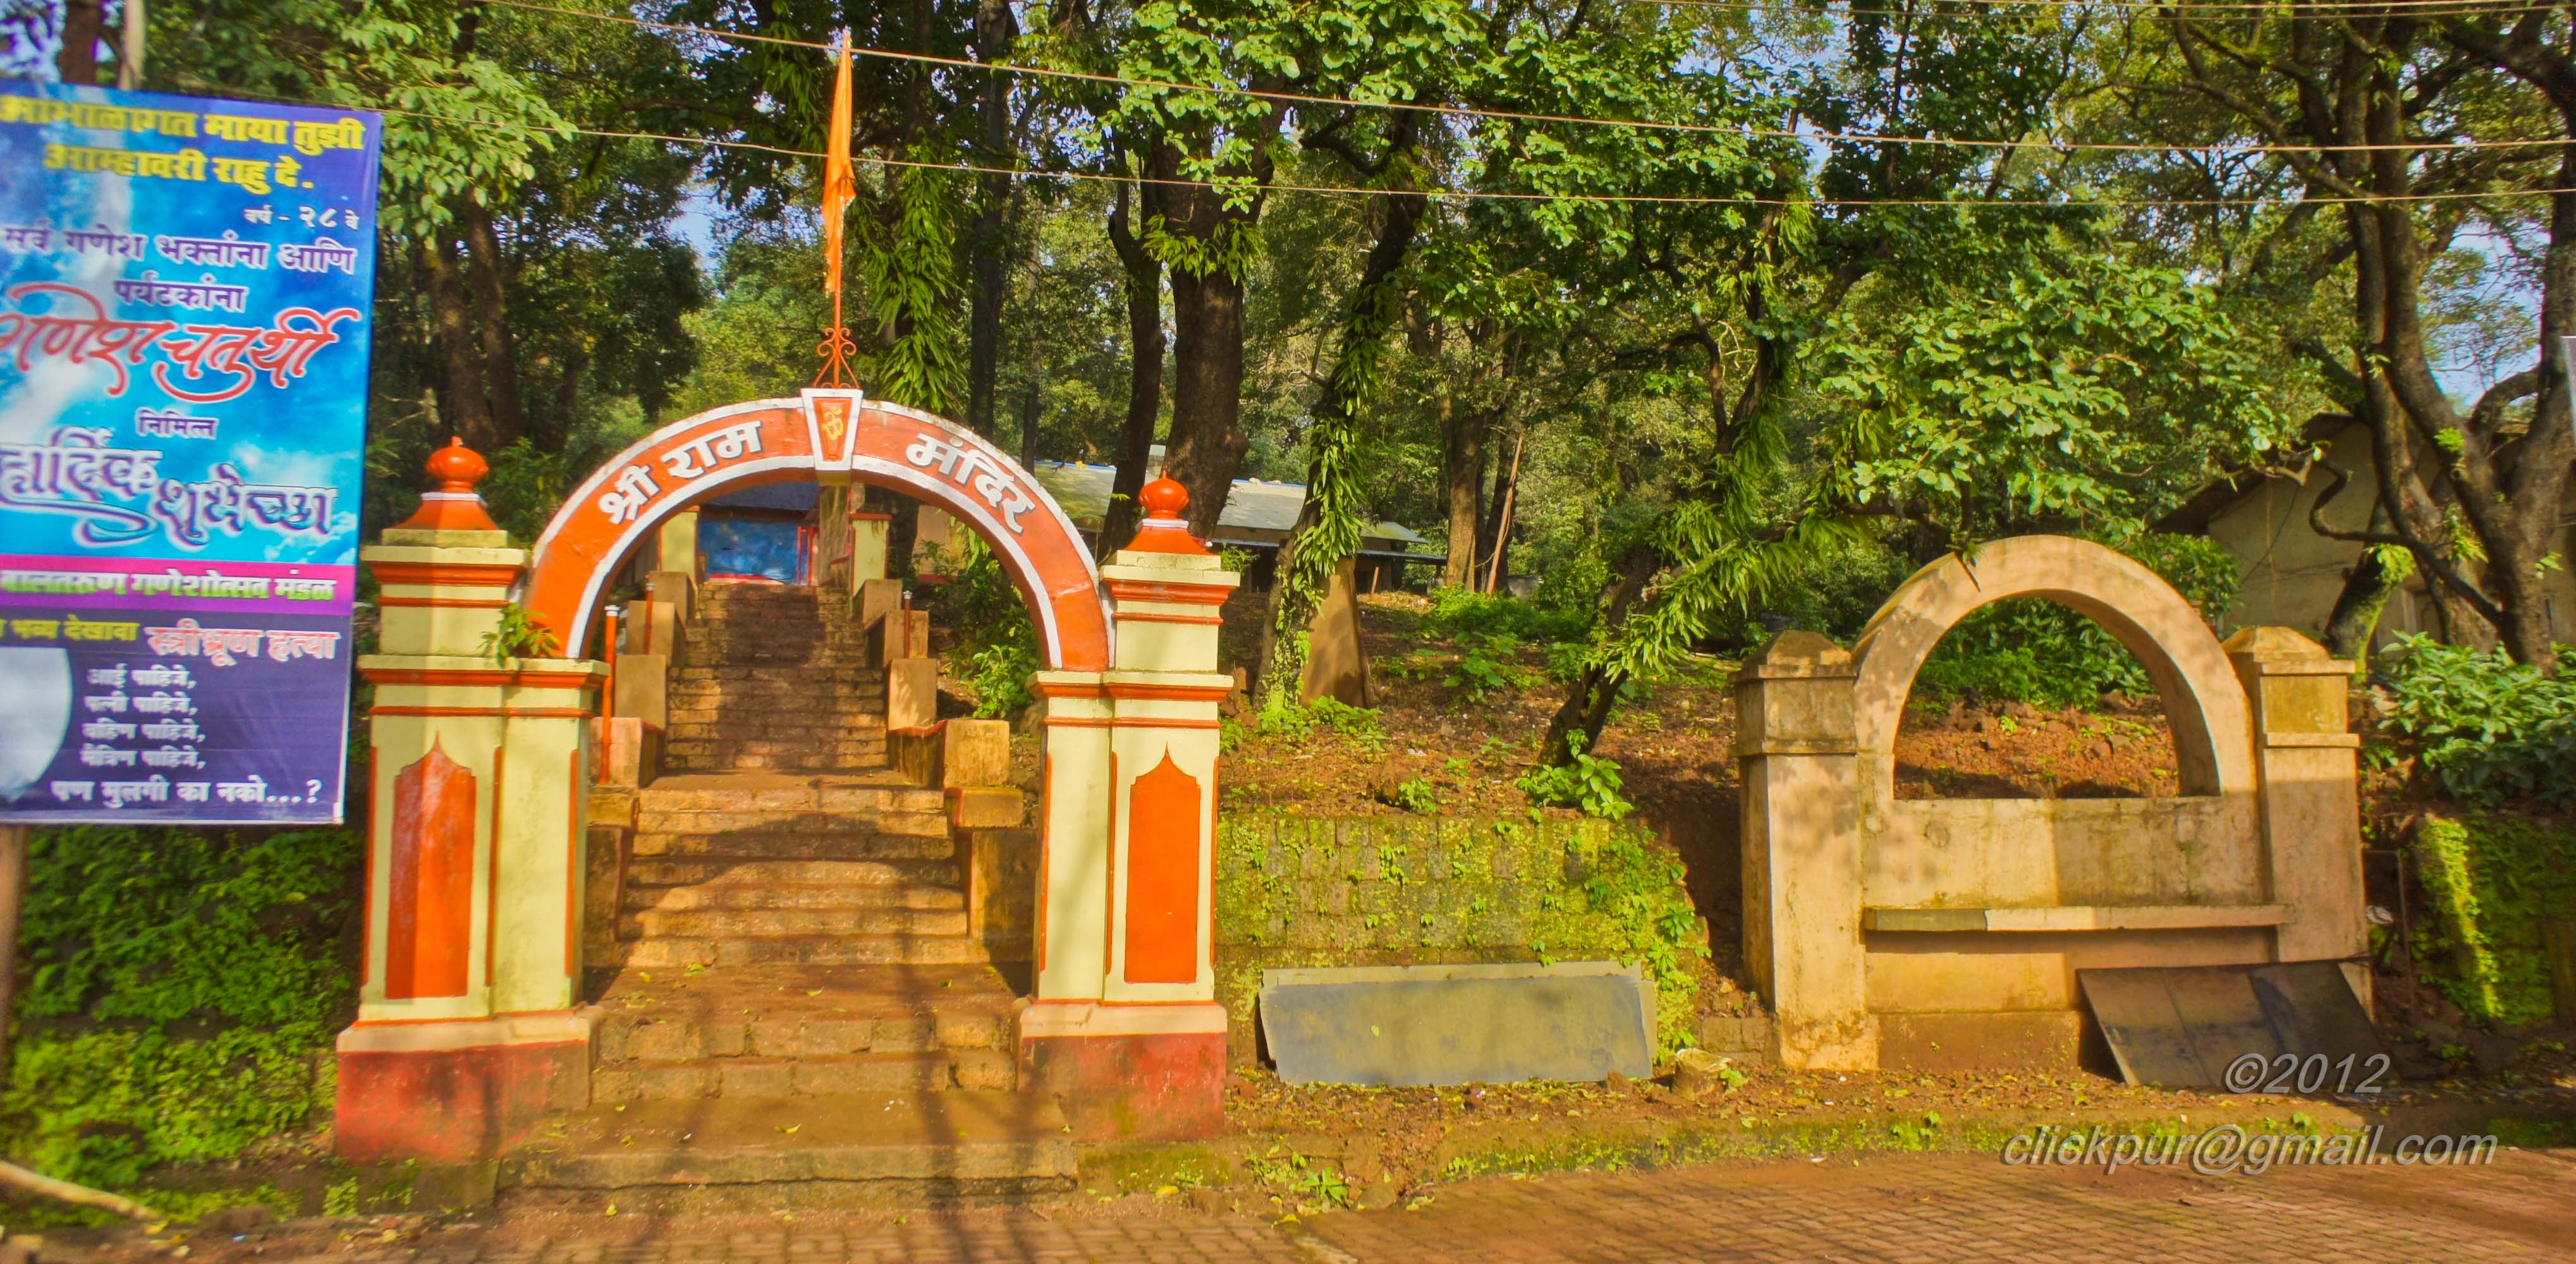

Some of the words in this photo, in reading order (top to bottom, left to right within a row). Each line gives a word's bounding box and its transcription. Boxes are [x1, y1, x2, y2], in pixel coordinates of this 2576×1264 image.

[4, 93, 204, 140] आभाळागत
[198, 108, 298, 147] माया
[291, 112, 367, 156] तुझी
[44, 136, 211, 183] आम्हावरी
[208, 149, 278, 202] शहु
[265, 143, 319, 197] दे.
[1, 208, 59, 260] सर्वे
[58, 216, 147, 264] गणेश
[154, 225, 273, 270] भक्तांना
[238, 197, 276, 232] वर्ष
[276, 240, 355, 275] आणि
[296, 198, 365, 236] २८वे
[109, 265, 255, 316] पर्यटकांना
[3, 271, 176, 402] गणेश
[149, 295, 366, 410] चतुर्थी
[130, 388, 225, 440] निमित्त
[659, 418, 768, 485] राम
[4, 417, 169, 552] ६१९९६
[157, 454, 343, 553] शुभेच्छा
[592, 462, 661, 527] श्री
[899, 428, 1037, 541] मंदिर
[4, 562, 138, 598] बालतरुण
[122, 562, 271, 604] गणेशोत्सव
[264, 564, 347, 605] मंडळ
[7, 612, 63, 645] भव्य
[56, 600, 138, 647] देखावा
[135, 607, 264, 669] स्त्रीभूण
[264, 621, 347, 663] हत्या
[79, 657, 137, 693] आई।
[126, 656, 199, 693] पाहिजे,
[77, 684, 142, 719] पत्नी
[131, 684, 197, 718] पाहिजे,
[75, 713, 140, 745] वहिण
[140, 710, 209, 748] पाहिजे,
[72, 735, 140, 772] मैत्रिण
[136, 738, 208, 775] पाहिजे,
[40, 772, 106, 810] पण
[100, 765, 183, 815] मुलगी
[174, 772, 219, 806] का
[214, 769, 272, 806] नको
[2220, 1044, 2403, 1110] ©2012
[1990, 1115, 2505, 1183] असंकारणीऐवजीकरण